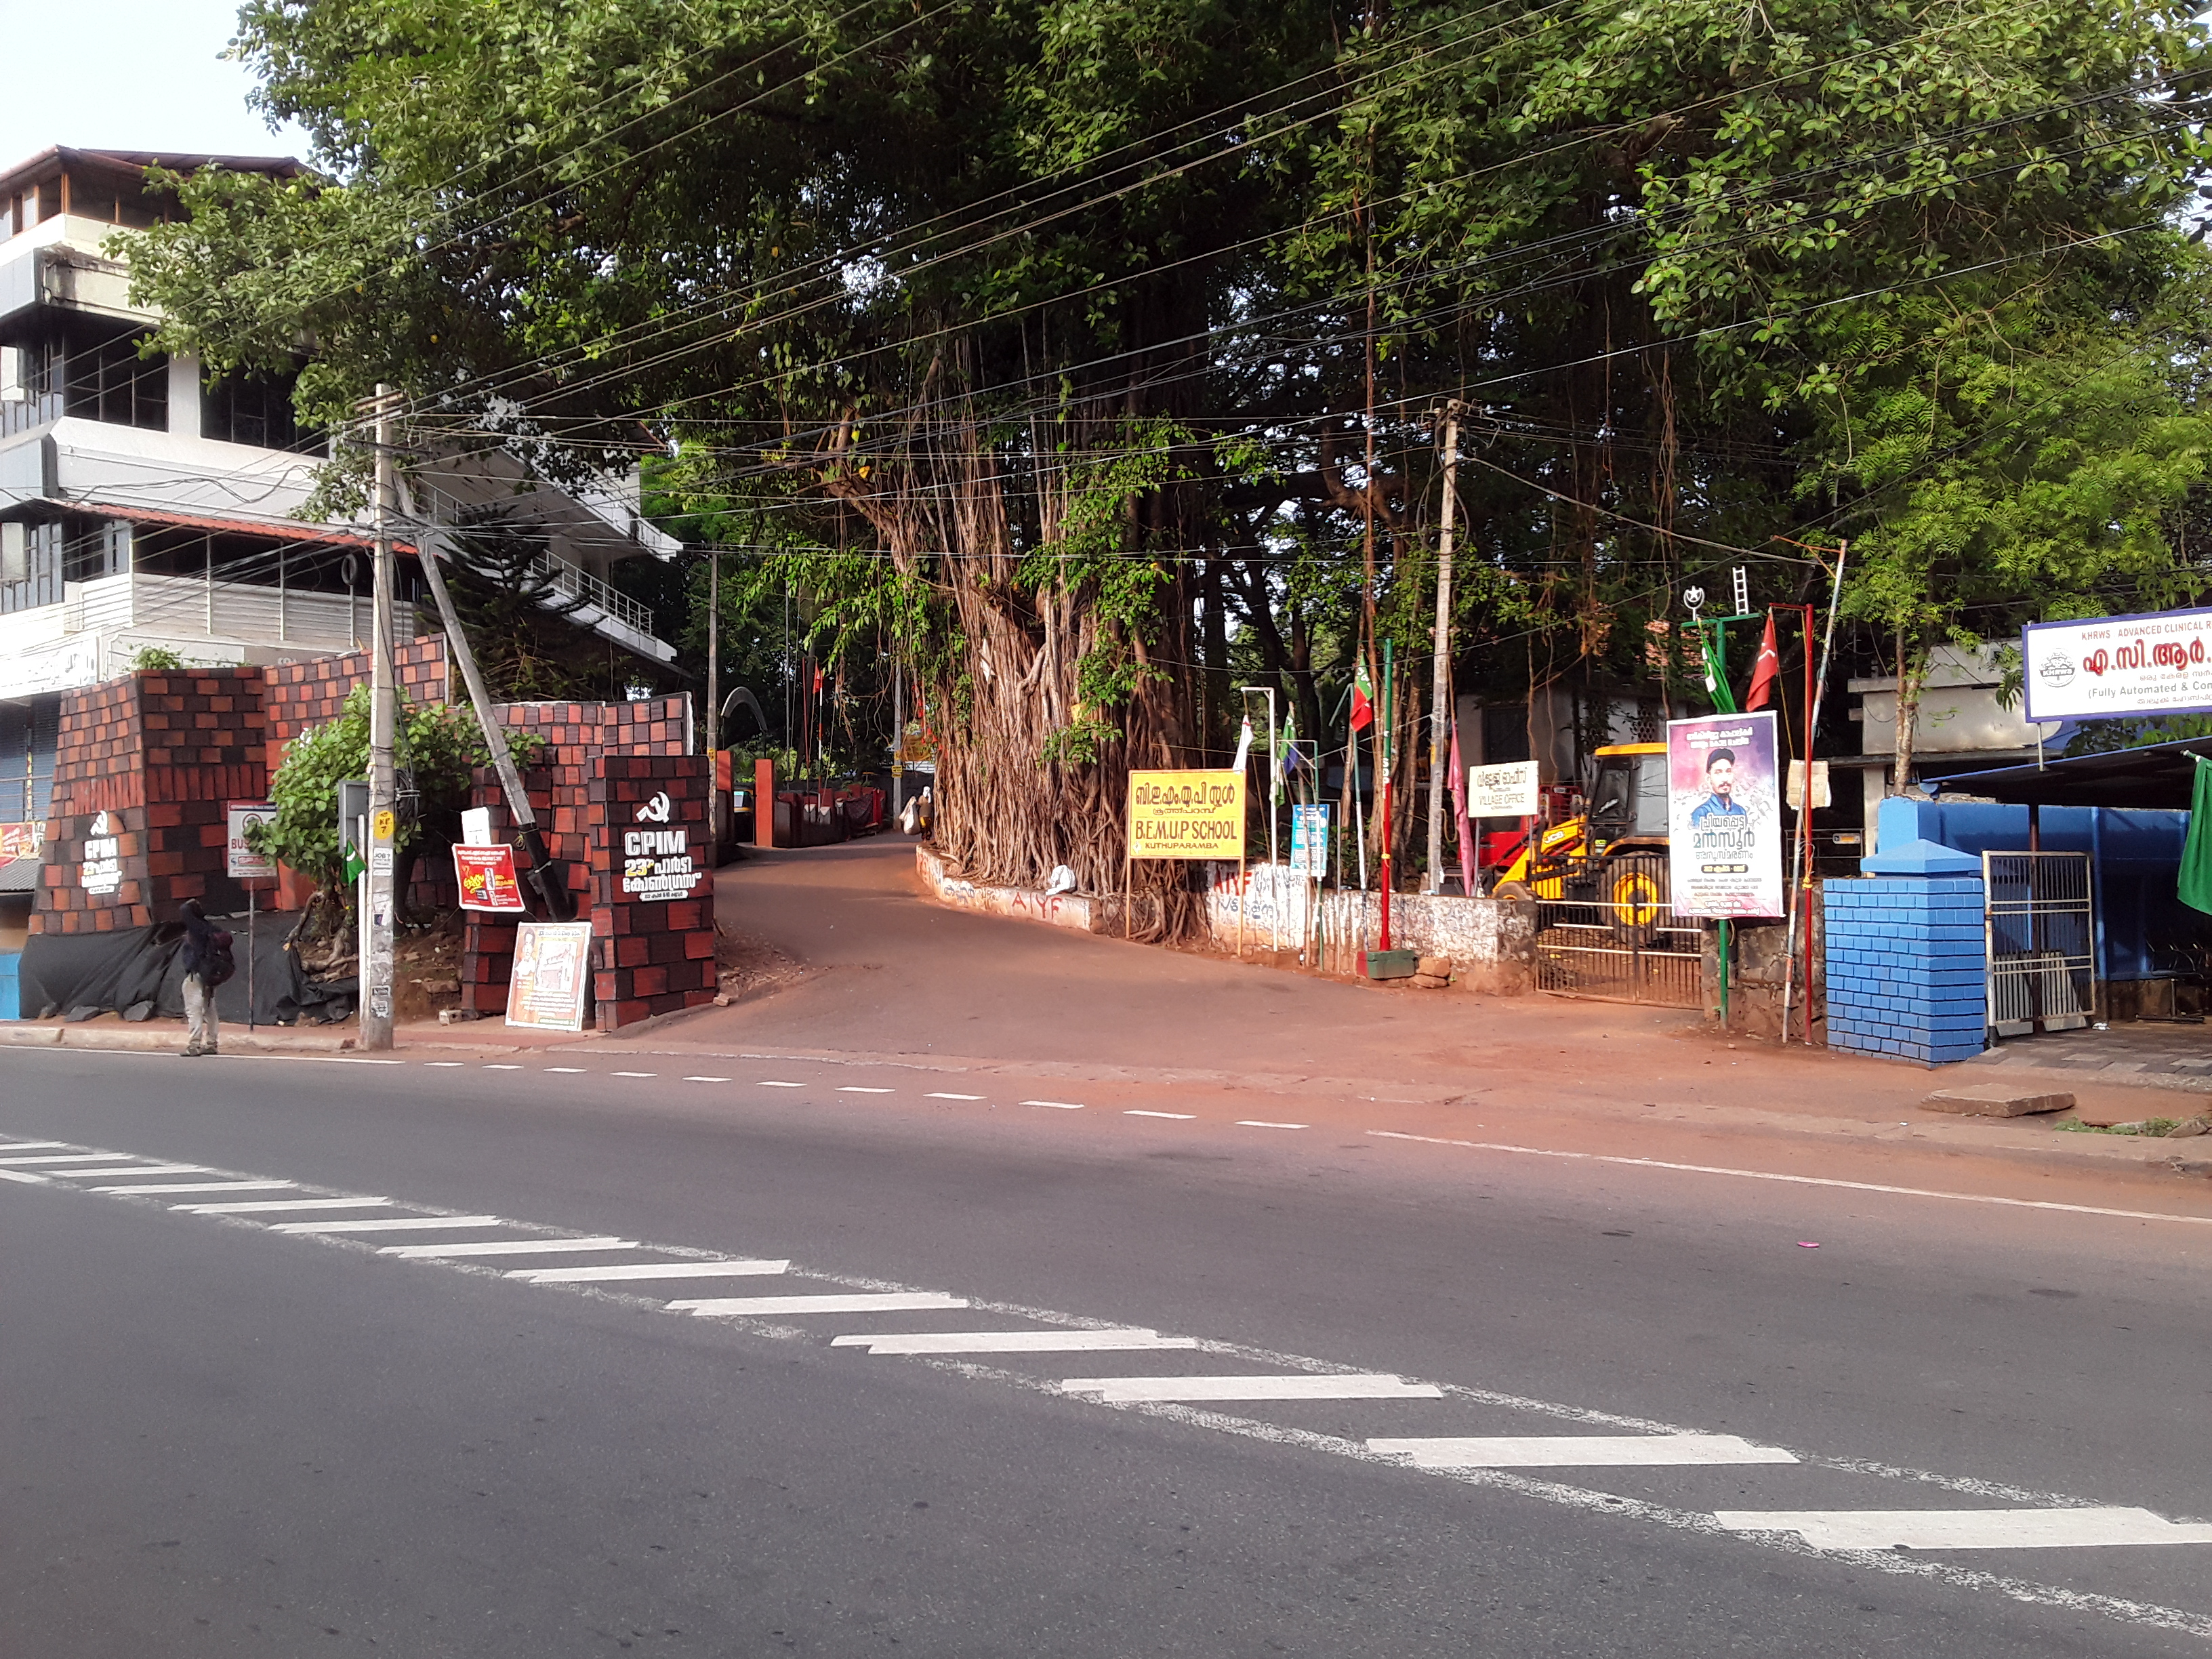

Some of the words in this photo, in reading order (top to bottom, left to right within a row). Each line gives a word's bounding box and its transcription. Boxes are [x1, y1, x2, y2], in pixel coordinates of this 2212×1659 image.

[2078, 626, 2113, 644] KHRWS
[2114, 623, 2165, 639] ADVANCED
[2161, 619, 2206, 635] CLINICAL
[2079, 633, 2211, 677] എ.സി.ആർ.
[2087, 687, 2119, 702] (Fully
[2117, 681, 2183, 697] Automated
[2158, 670, 2192, 686] കേരള
[2178, 679, 2191, 694] &
[1472, 765, 1530, 792] വില്ലേജ് ഓഫീസ്
[1132, 779, 1237, 811] வி.ஐ.வி.யு.வி ல ன்
[1474, 792, 1505, 808] VILLAGE
[1499, 790, 1528, 806] OFFICE
[619, 826, 689, 859] CPIM
[1134, 819, 1192, 844] B.E.M.U.P
[1143, 841, 1223, 851] KUTHUPARAMBA
[1150, 806, 1218, 819] ക്രത്തപറമ്പ്
[1188, 815, 1240, 842] SCHOOL
[1698, 809, 1748, 834] പ്രിയപ്പെട്ട
[1688, 825, 1759, 852] മൻസൂർ
[617, 869, 704, 896] കോൺഗ്രസ്